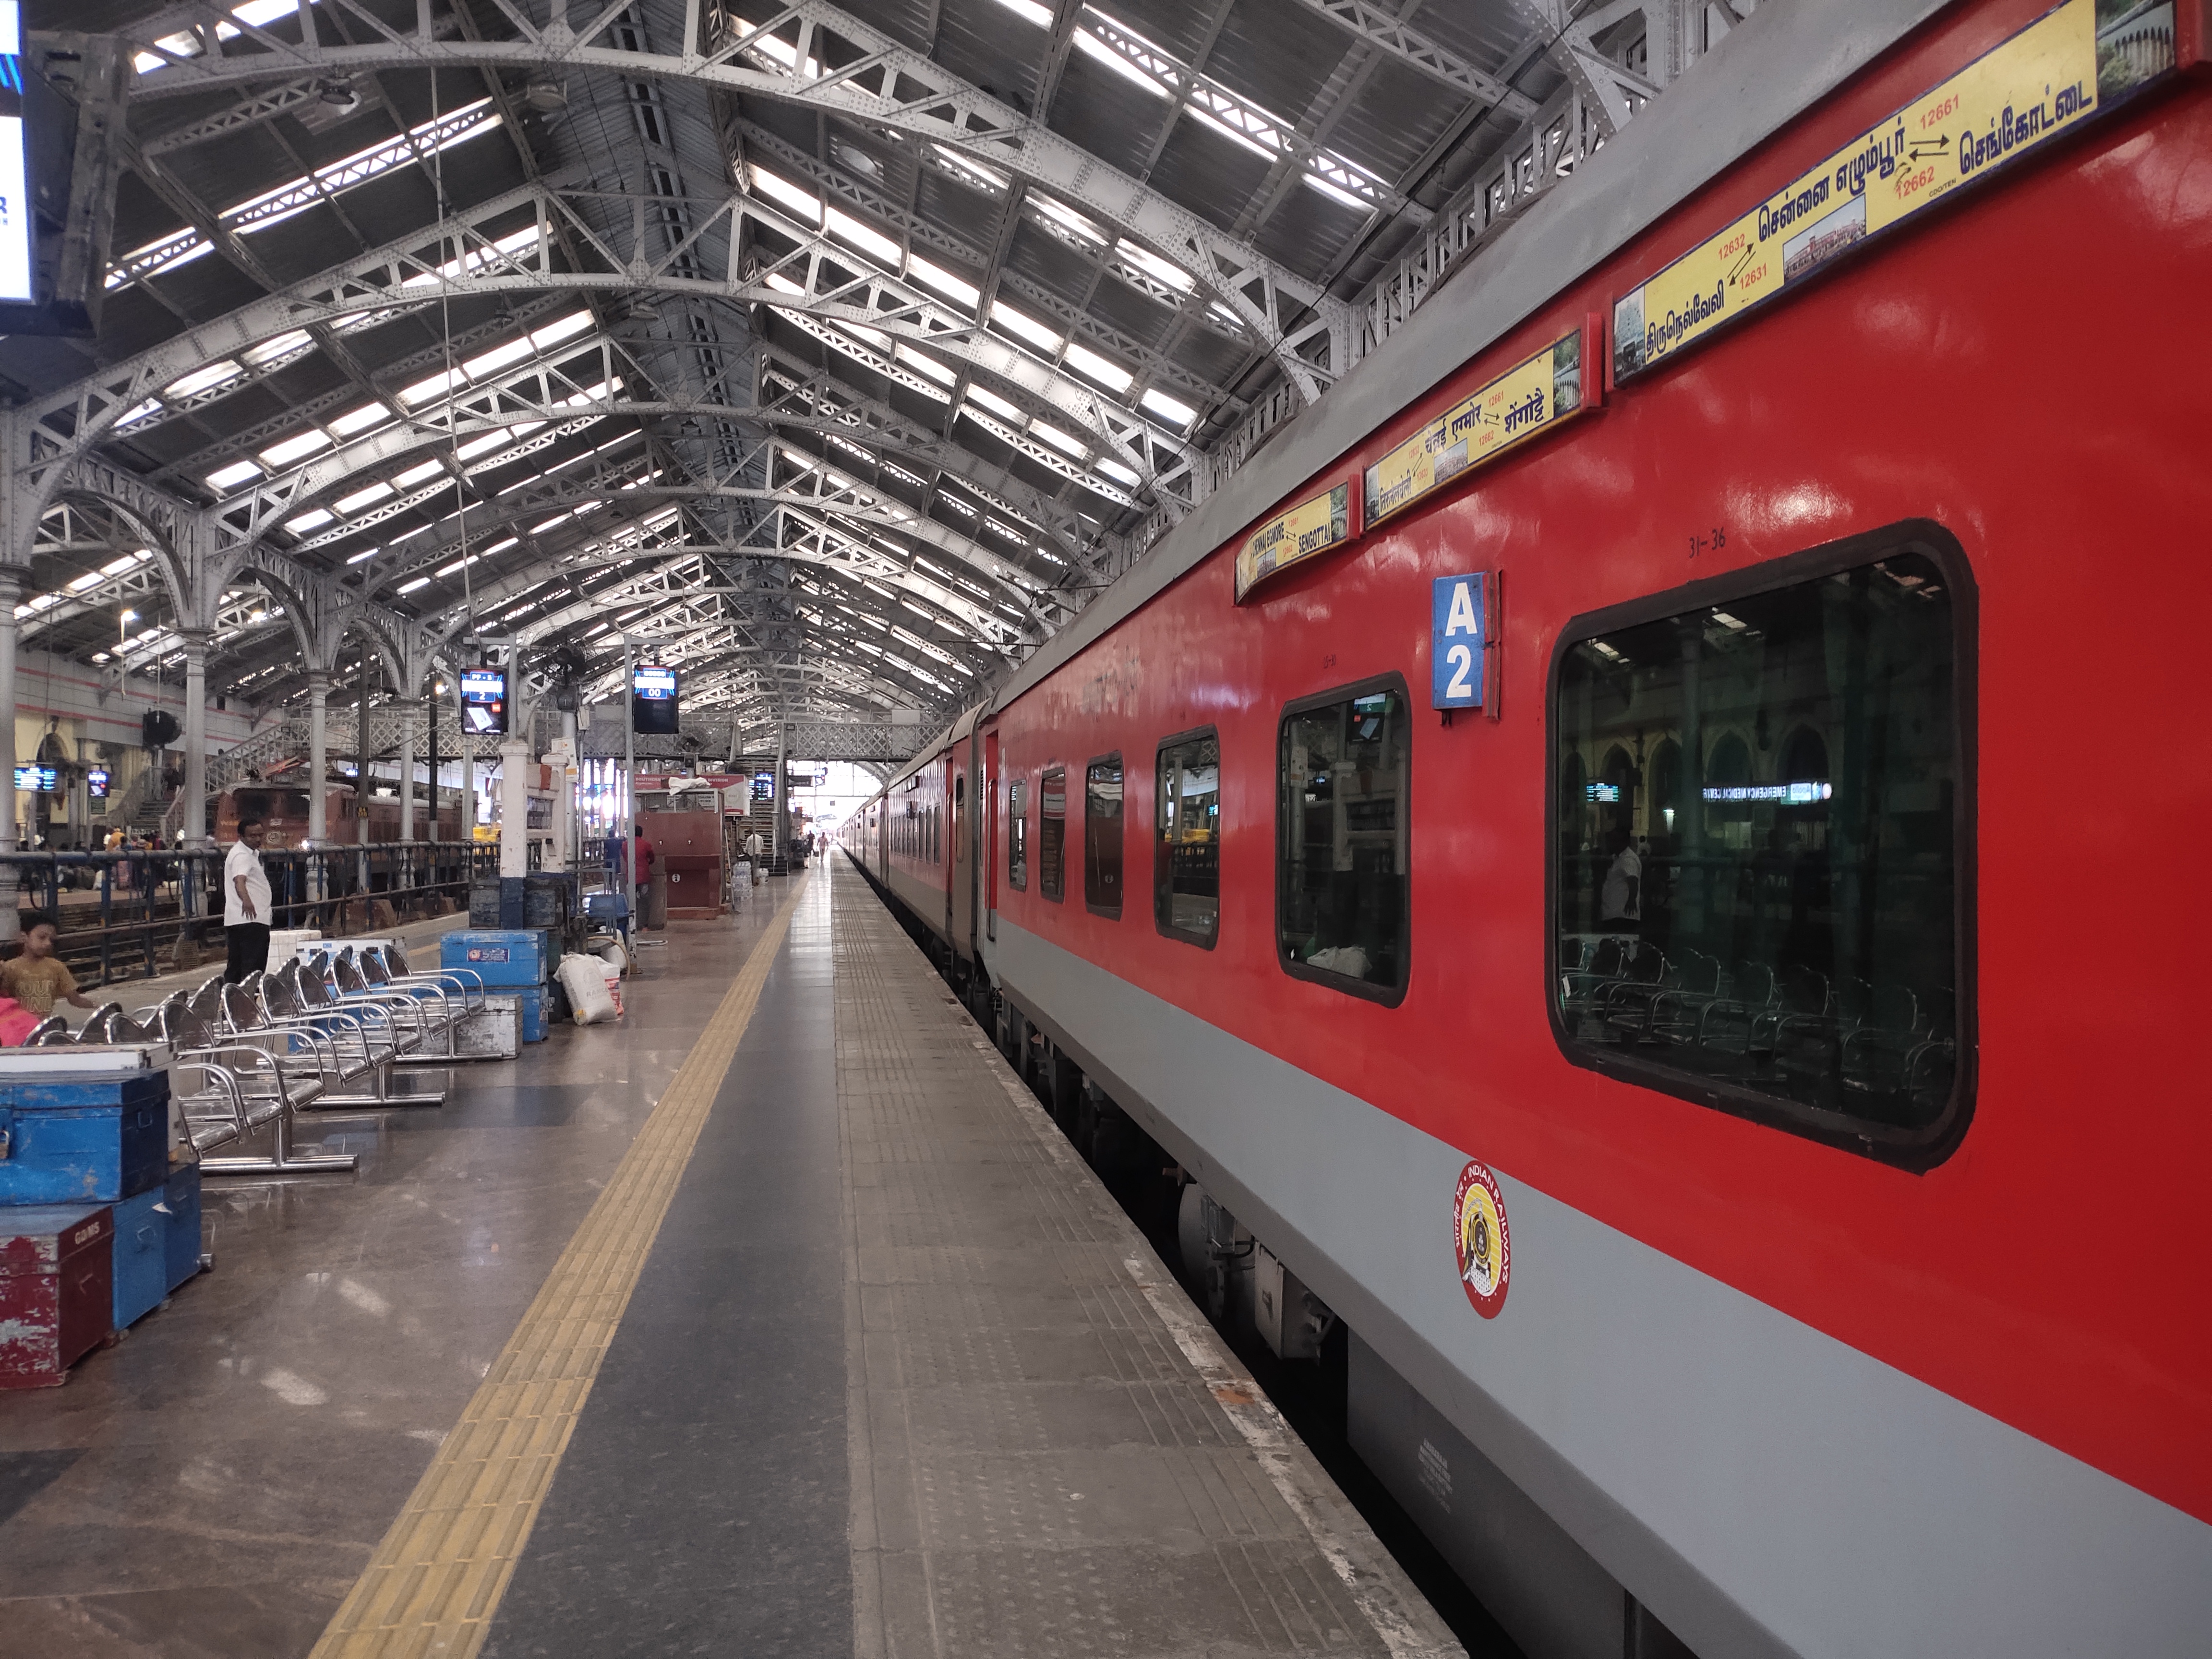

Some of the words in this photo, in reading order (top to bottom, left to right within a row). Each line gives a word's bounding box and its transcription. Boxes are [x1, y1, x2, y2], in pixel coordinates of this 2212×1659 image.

[1833, 110, 1908, 197] எழும்பூா்
[1915, 91, 1963, 132] 12661
[1951, 79, 2097, 180] செங்கோட்டை
[1755, 169, 1834, 245] சென்னை
[1889, 163, 1940, 204] 12662
[1640, 276, 1729, 361] திருநெல்வேலி
[1419, 414, 1449, 460] चेन्नई
[1449, 396, 1485, 444] एग्मोर
[1500, 384, 1550, 437] शेंगोट्टै
[1243, 518, 1288, 561] CHENNAI EGMORE
[1293, 521, 1334, 557] SENGOTTAI
[1448, 1174, 1469, 1207] रेल
[1461, 1159, 1497, 1195] INDIAN
[1448, 1197, 1465, 1254] भारतीय
[1489, 1187, 1514, 1287] RAILWAYS